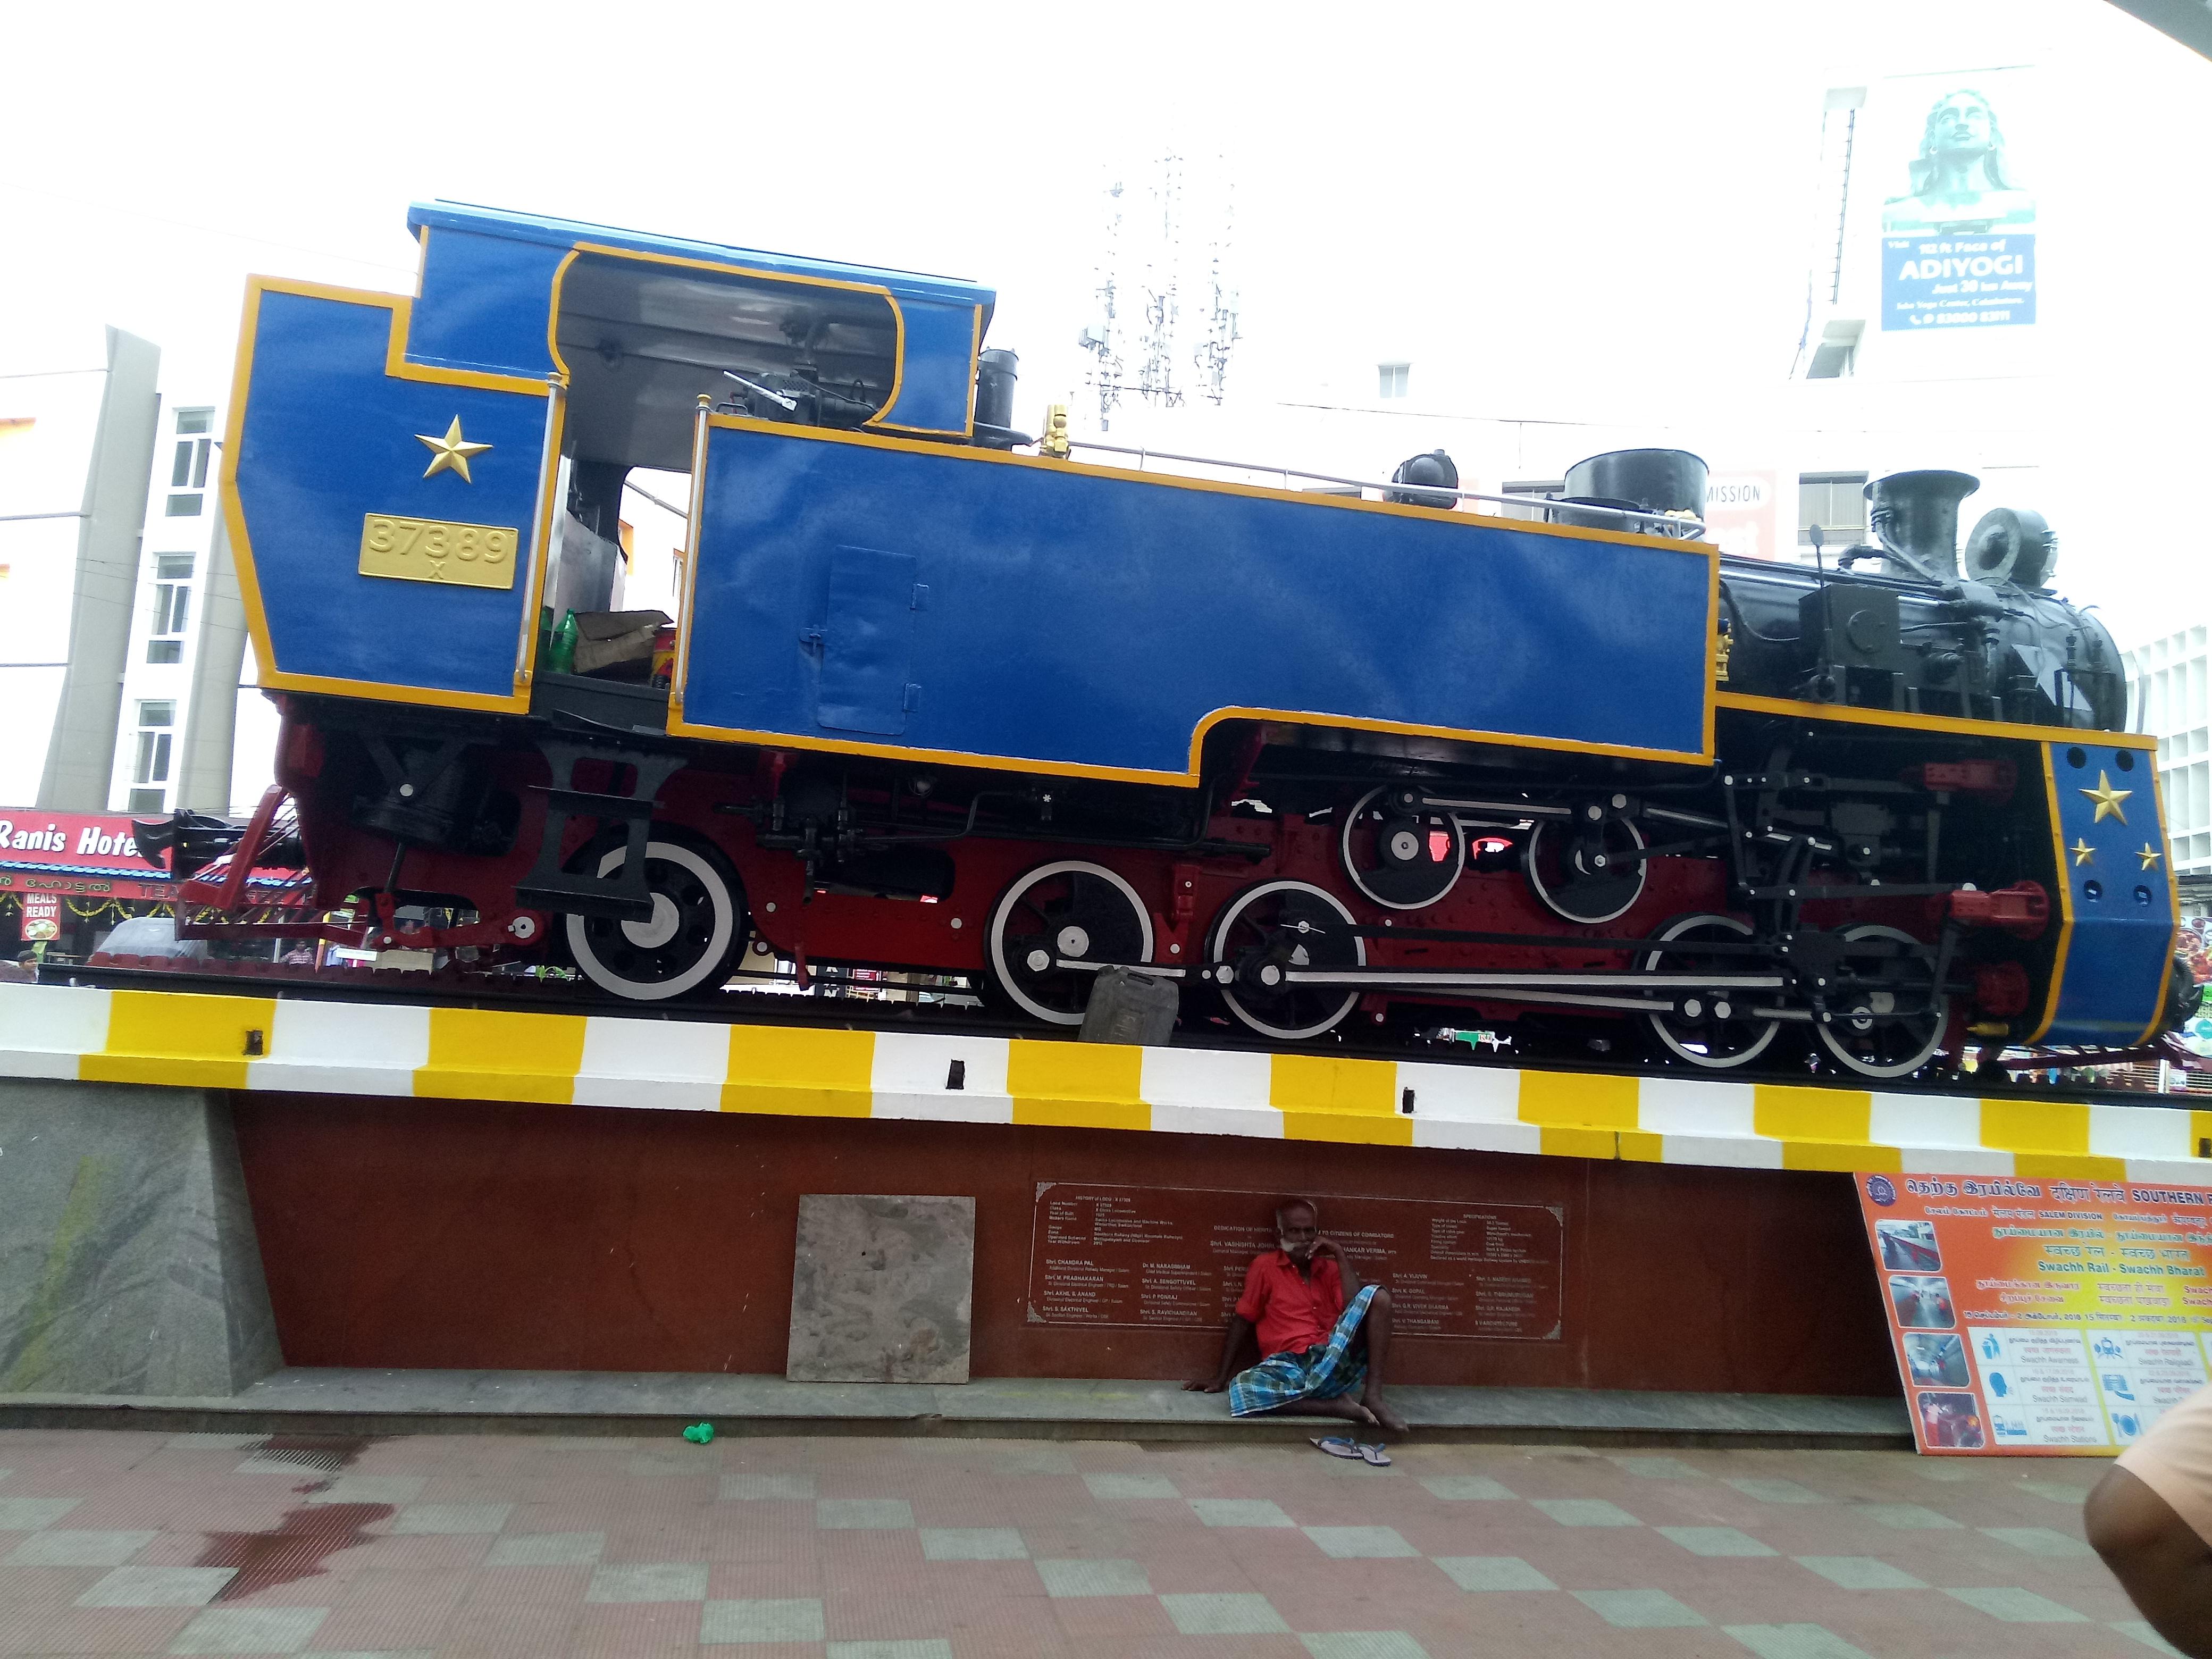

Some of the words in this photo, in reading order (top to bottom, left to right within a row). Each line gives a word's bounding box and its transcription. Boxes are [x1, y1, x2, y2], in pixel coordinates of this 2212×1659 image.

[1915, 237, 1956, 258] 112ft
[1952, 238, 1991, 257] Face
[1988, 238, 2009, 256] of
[1895, 250, 2027, 281] ADIYOGI
[1928, 279, 1961, 298] Just
[1956, 275, 1981, 296] 30
[1998, 275, 2035, 296] Away
[1915, 296, 1941, 312] Yoga
[1937, 297, 1972, 311] Center,
[1932, 309, 1981, 329] 83000
[1976, 306, 2012, 328] 83111
[1702, 483, 1763, 507] MISSION
[0, 816, 69, 857] Ranis
[69, 823, 140, 866] Hote
[1904, 1175, 1959, 1199] எதற்கு
[1958, 1175, 2045, 1199] இரயில்வே
[2049, 1178, 2092, 1206] दक्षिण
[2088, 1179, 2127, 1206] रेलवे
[2131, 1184, 2207, 1209] SOUTHERN
[1987, 1202, 2015, 1219] सेलम
[2012, 1204, 2037, 1222] मंडल
[2036, 1208, 2067, 1220] SALEM
[2066, 1209, 2106, 1221] DIVISION
[2167, 1211, 2210, 1231] कोयम्बतूर
[1991, 1221, 2066, 1241] தூய்மையான
[2066, 1224, 2106, 1242] இரயில்
[2114, 1226, 2185, 1244] தூய்மையான
[2043, 1242, 2085, 1259] स्वच्छ
[2081, 1239, 2107, 1259] रेल
[2117, 1243, 2157, 1260] स्वच्छ
[2156, 1246, 2191, 1262] भारत
[2035, 1255, 2087, 1273] Swachh
[2087, 1260, 2111, 1275] Rail
[2116, 1258, 2166, 1276] Swachh
[2166, 1262, 2207, 1278] Bharat
[2040, 1276, 2082, 1292] இருவார
[2097, 1280, 2134, 1293] स्वच्छता
[2130, 1277, 2146, 1296] ही
[2141, 1278, 2167, 1296] सेवा
[2097, 1293, 2136, 1307] स्वच्छता
[2132, 1293, 2174, 1309] पखवाडा
[2060, 1312, 2083, 1323] 2018
[2082, 1311, 2097, 1325] 15
[2089, 1306, 2127, 1324] सितम्बर
[2127, 1313, 2138, 1323] 2
[2135, 1311, 2168, 1325] अक्टूबर
[2164, 1312, 2190, 1326] 2018
[2022, 1346, 2041, 1356] स्वच्छ
[2018, 1352, 2049, 1365] Swachh
[2041, 1345, 2074, 1357] जागरुकता
[2045, 1354, 2082, 1366] Awarness
[2030, 1392, 2059, 1404] Swachh
[2038, 1383, 2057, 1395] स्वच्छ
[2057, 1383, 2075, 1396] सेवाद
[2057, 1391, 2089, 1405] Samwad
[2048, 1421, 2068, 1435] स्वच्छ
[2066, 1422, 2087, 1434] स्टेशन
[2041, 1432, 2072, 1444] Swachh
[2069, 1433, 2101, 1445] Stations